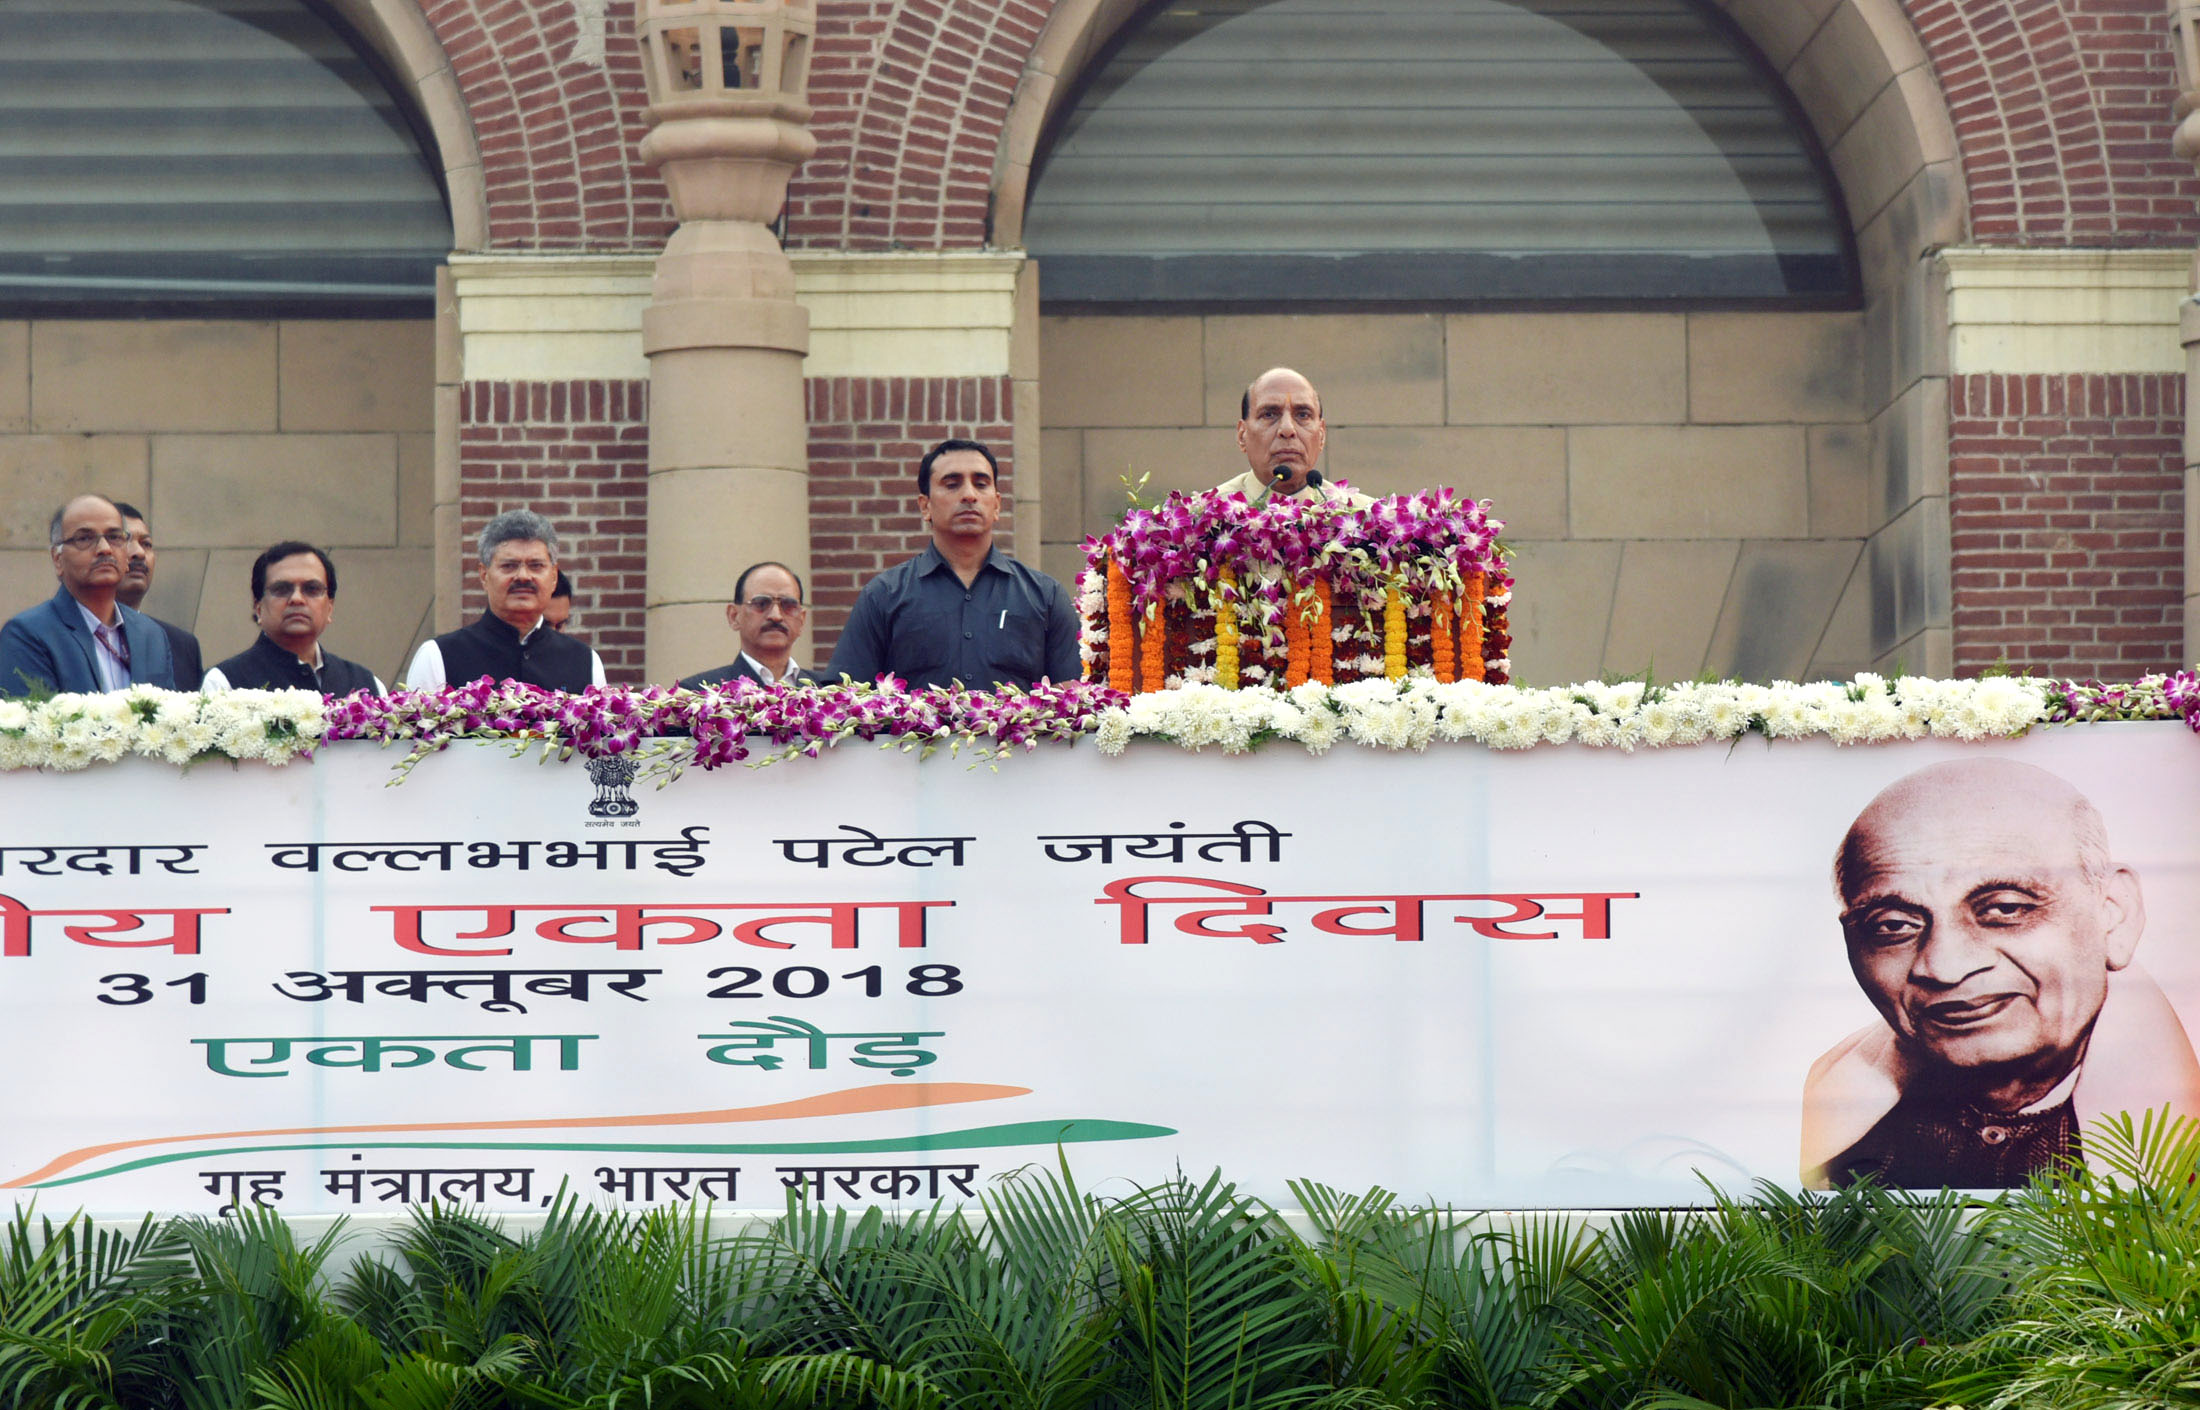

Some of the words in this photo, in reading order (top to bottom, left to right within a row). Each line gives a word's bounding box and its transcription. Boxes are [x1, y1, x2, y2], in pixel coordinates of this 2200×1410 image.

[2, 838, 215, 882] रदार
[265, 813, 712, 881] वल्लभभाई
[767, 817, 977, 877] पटेल
[1035, 814, 1297, 879] जयंती
[369, 894, 958, 967] एकता
[1088, 872, 1641, 950] दिवस
[92, 968, 208, 1015] 31
[269, 965, 666, 1022] अक्तूबर
[697, 960, 971, 1003] 2018
[188, 1032, 600, 1087] एकता
[694, 1014, 948, 1088] दौड़
[197, 1166, 293, 1231] गृह
[316, 1146, 537, 1207] मंत्रालय
[590, 1153, 742, 1205] भारत
[779, 1160, 982, 1206] सरकार